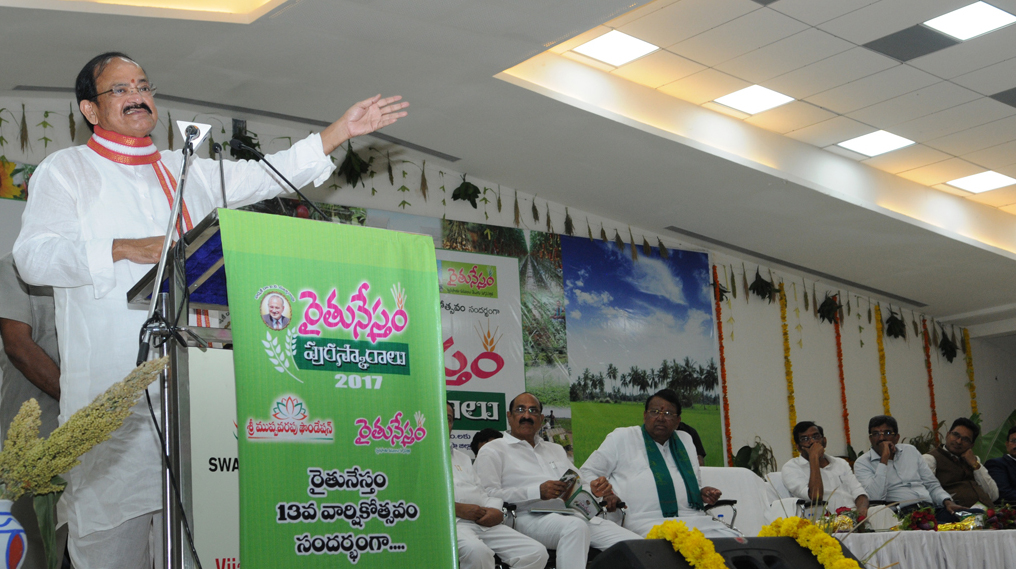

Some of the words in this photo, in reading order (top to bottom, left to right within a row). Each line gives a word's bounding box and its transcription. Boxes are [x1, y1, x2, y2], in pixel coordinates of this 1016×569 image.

[444, 259, 498, 291] రైతునేస్తం
[295, 277, 412, 347] రైతునేస్తం
[466, 301, 501, 319] సందర్థంగా
[298, 330, 410, 373] పురస్కారాలు
[332, 371, 387, 393] 2017
[243, 413, 262, 437] శ్రీ
[253, 411, 301, 439] ముప్పవరపు
[295, 414, 339, 437] ఫౌండేషన్
[351, 407, 431, 449] రైతునేస్తం
[302, 459, 394, 501] రైతునేస్తం
[275, 495, 322, 524] 13వ
[319, 491, 425, 529] వార్షికోత్సవం
[293, 527, 391, 566] సందర్భంగా